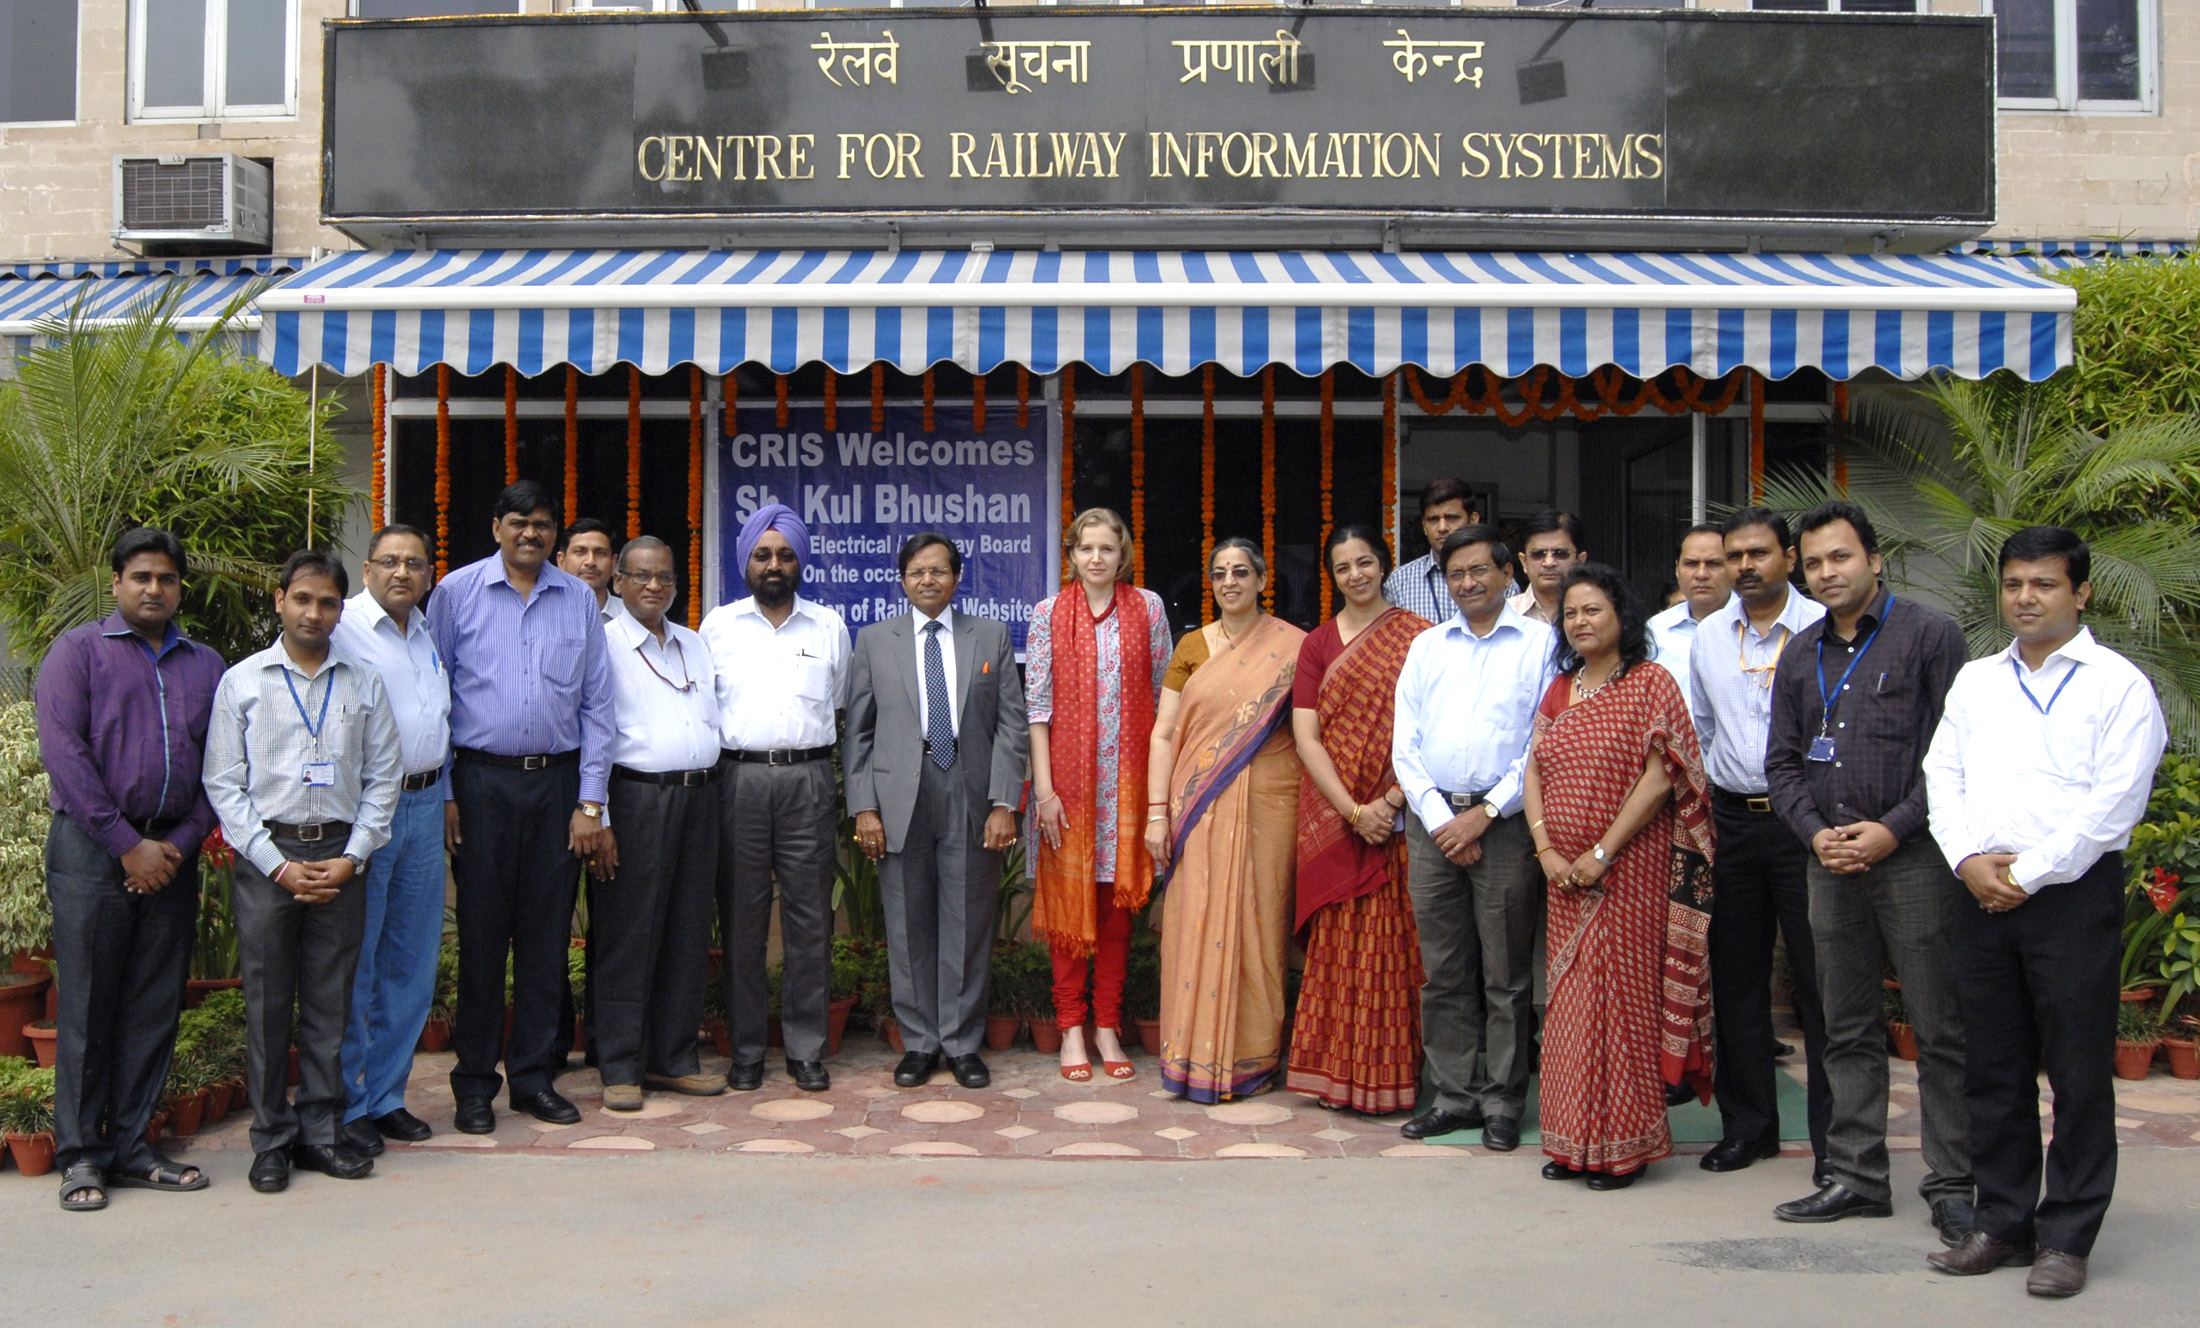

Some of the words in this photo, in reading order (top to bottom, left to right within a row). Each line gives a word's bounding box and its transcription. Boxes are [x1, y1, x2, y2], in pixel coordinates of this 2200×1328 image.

[806, 25, 904, 88] रेलवे
[978, 36, 1097, 99] सूचना
[1171, 21, 1305, 91] प्रणाली
[1378, 22, 1491, 92] केन्द्र
[635, 129, 821, 187] CENTRE
[830, 124, 929, 186] FOR
[946, 126, 1131, 182] RAILWAY
[1145, 125, 1446, 183] INFORMATION
[1454, 128, 1668, 185] SYSTEMS
[728, 425, 831, 473] CRIS
[831, 427, 1037, 473] Welcomes
[801, 479, 866, 529] Kul
[869, 479, 1035, 527] Bhushan
[799, 562, 829, 587] On
[826, 556, 863, 587] the
[805, 529, 896, 561] Electrical
[976, 532, 1035, 559] Board
[959, 595, 1038, 629] Website